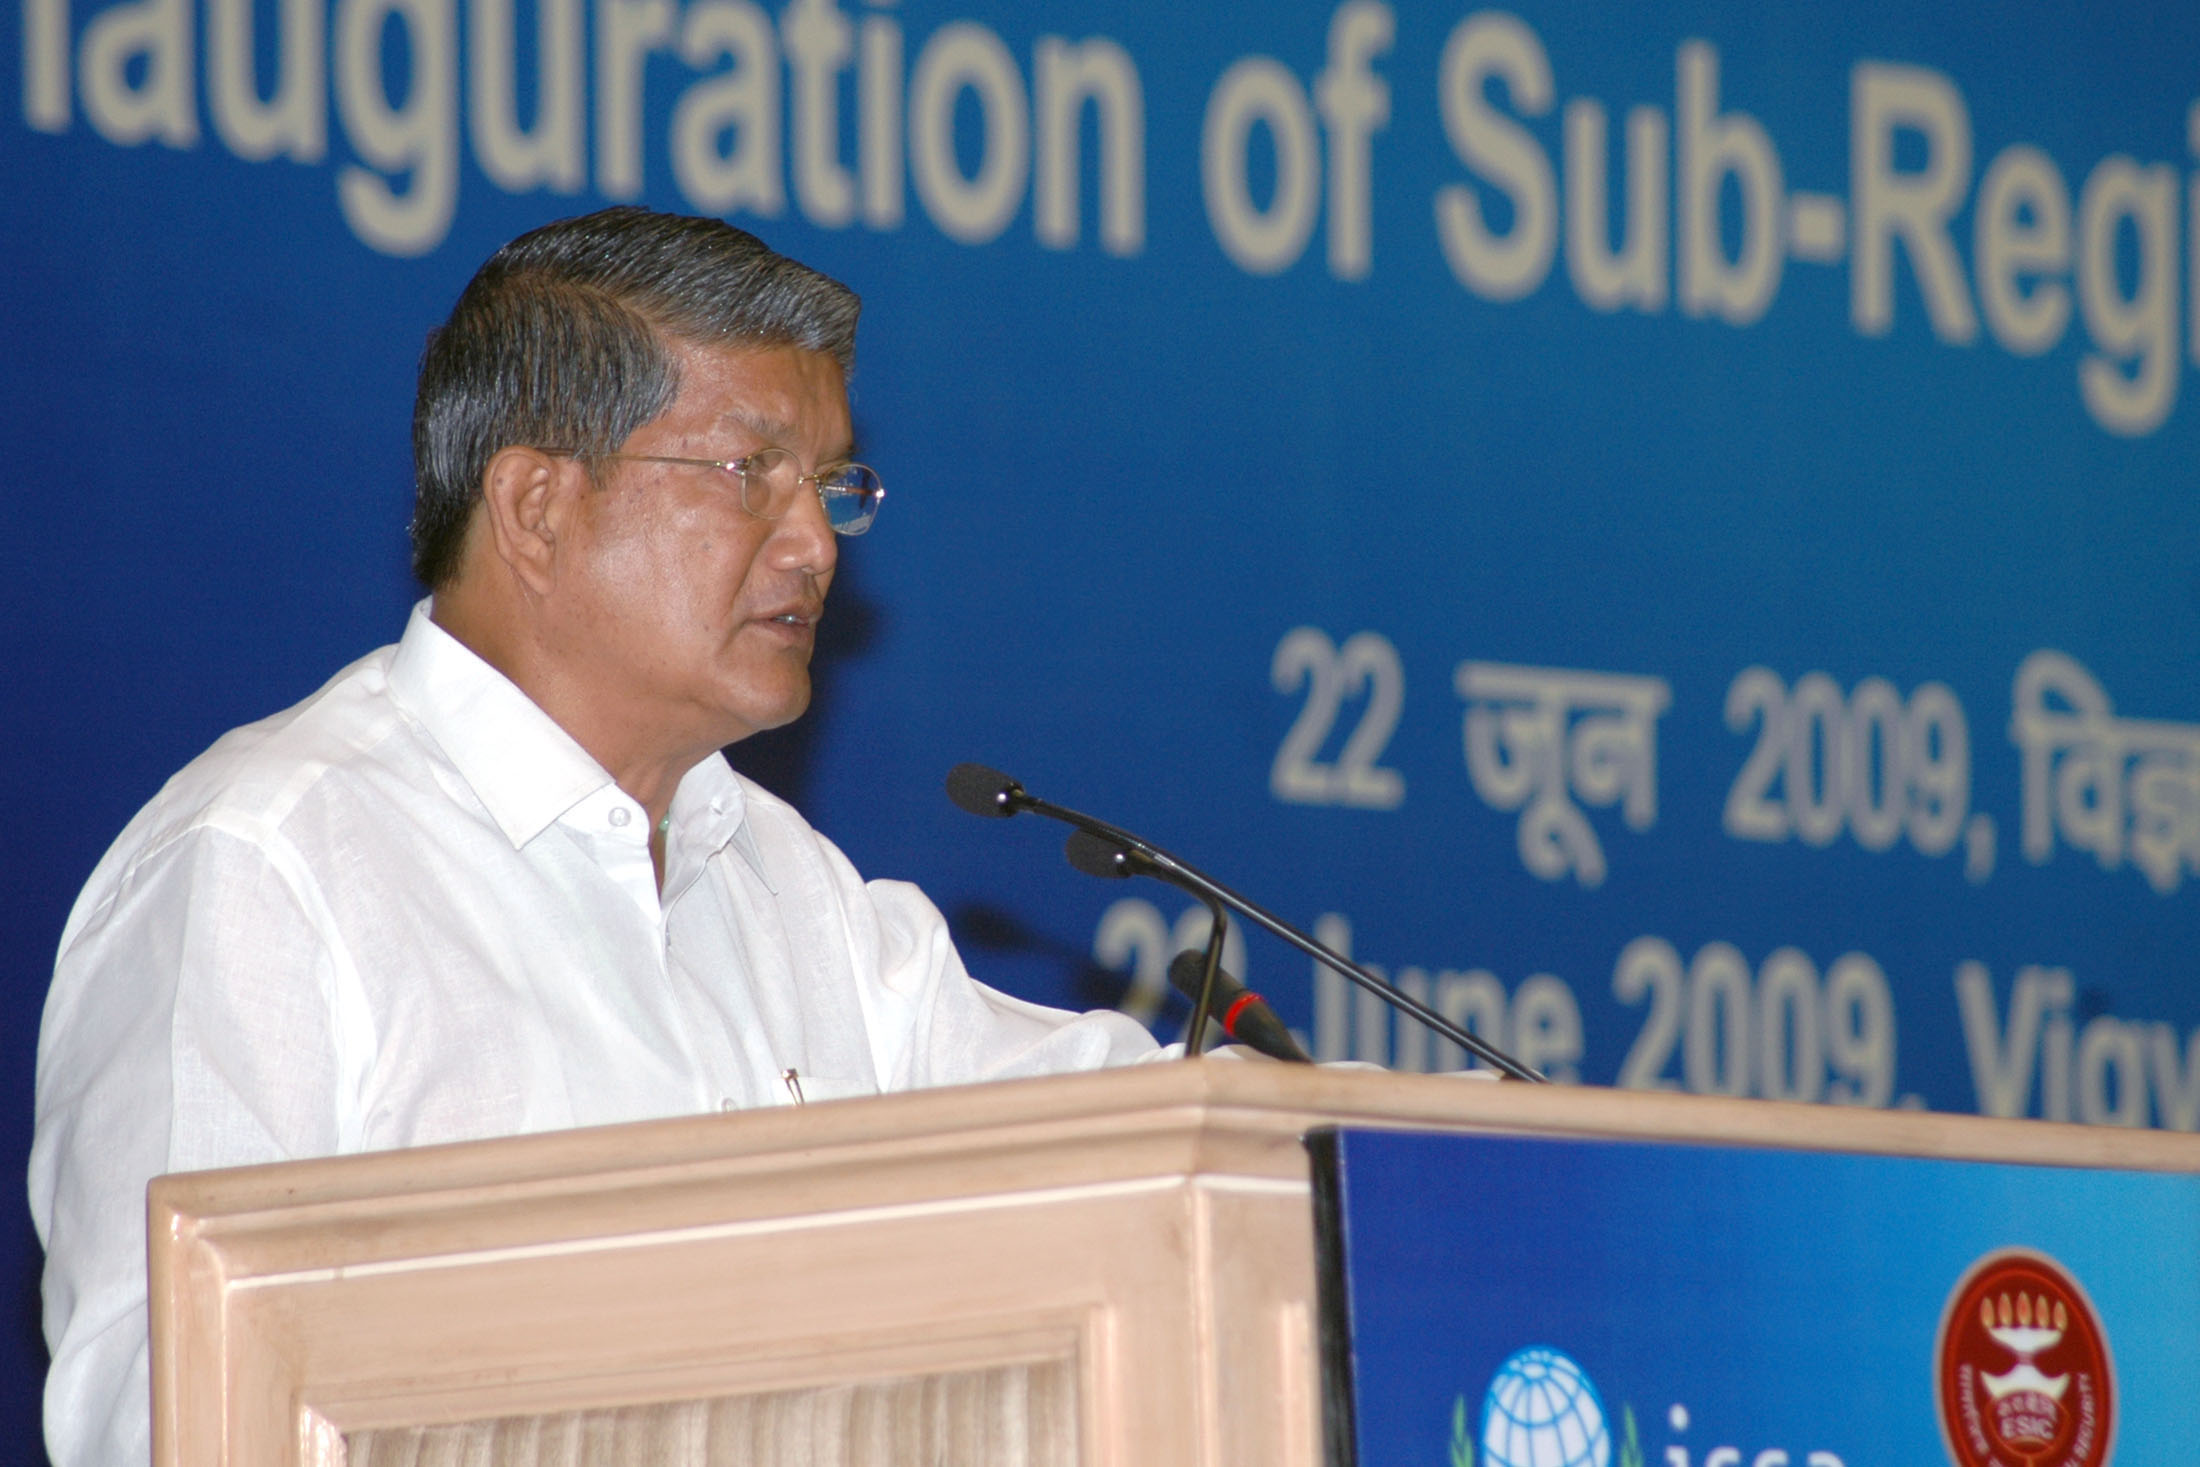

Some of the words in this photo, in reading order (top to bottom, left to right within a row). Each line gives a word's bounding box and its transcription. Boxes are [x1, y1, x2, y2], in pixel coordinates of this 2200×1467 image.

[340, 8, 1156, 274] guration
[1165, 0, 1420, 319] of
[1408, 0, 2198, 448] Sub-Reg
[1264, 624, 1409, 809] 22
[1456, 660, 1674, 905] जून
[1699, 632, 1986, 875] 2009
[1978, 638, 2200, 909] विज्ञ
[1282, 909, 1590, 1098] June
[1589, 919, 1905, 1130] 2009